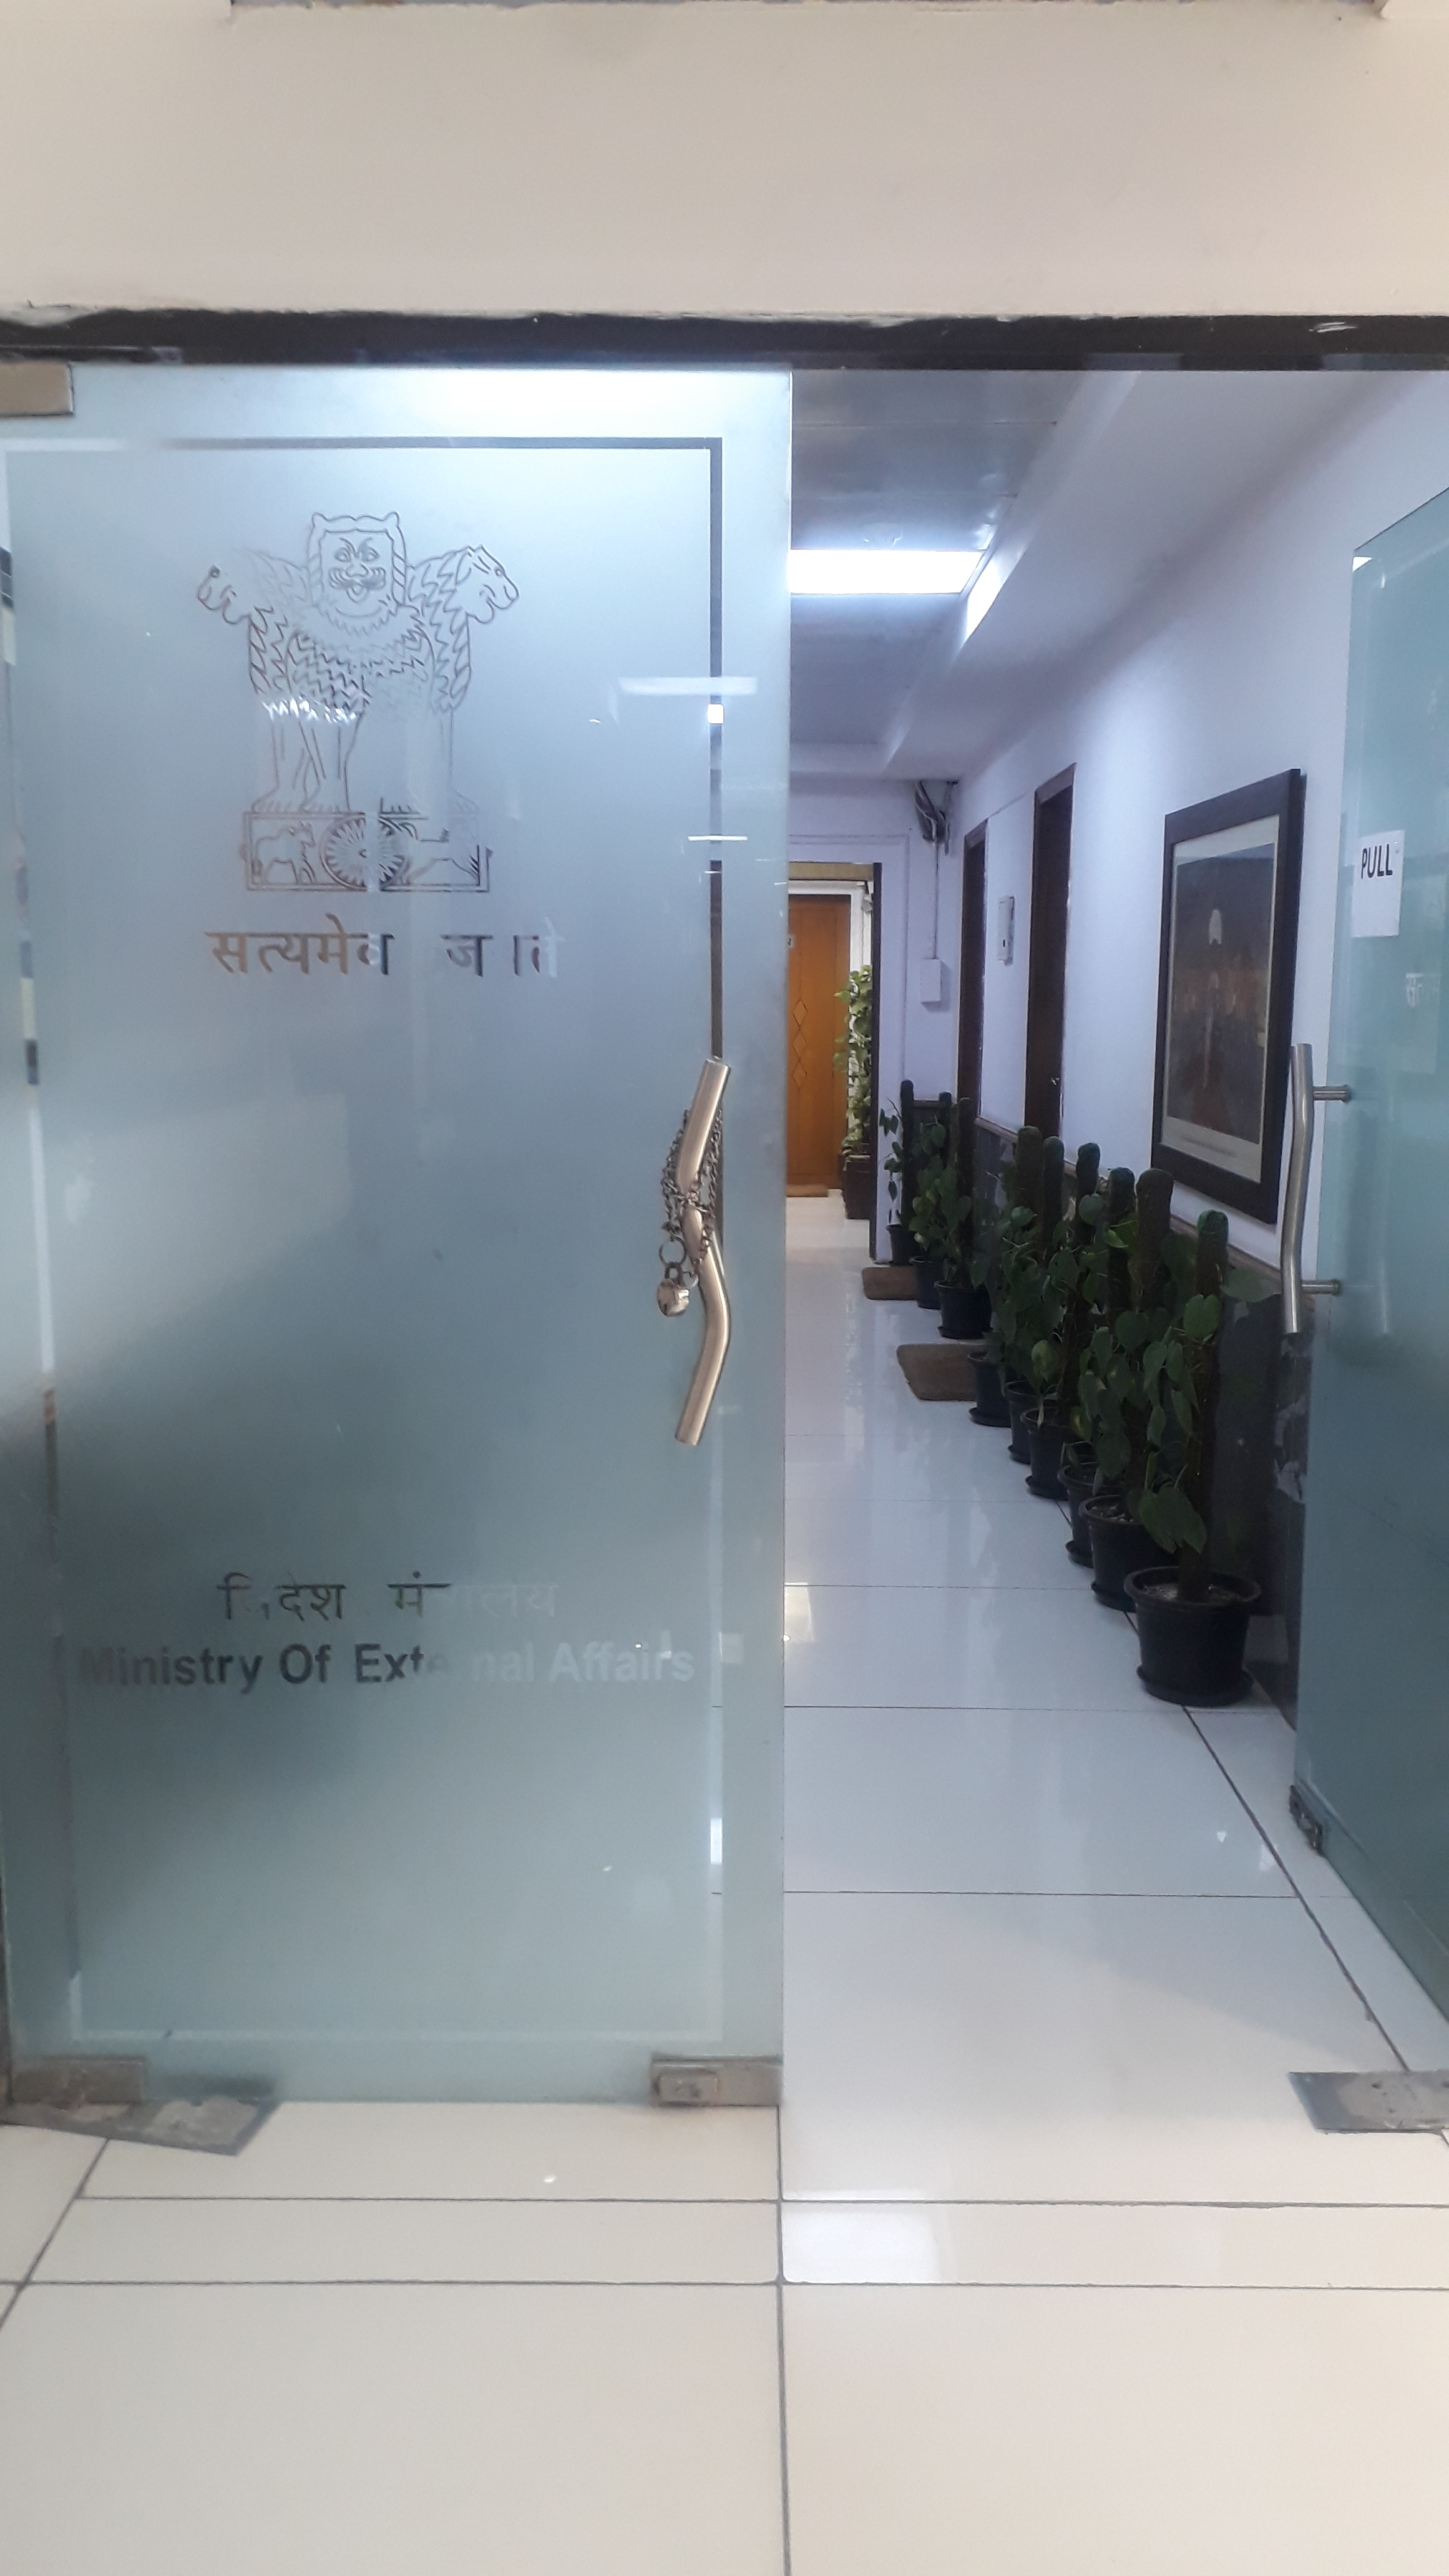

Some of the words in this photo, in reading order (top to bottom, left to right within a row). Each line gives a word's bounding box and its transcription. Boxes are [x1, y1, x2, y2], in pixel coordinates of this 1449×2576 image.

[1359, 842, 1398, 882] PULL
[205, 907, 401, 982] सत्‍यमेव
[441, 914, 569, 982] जाते
[215, 1564, 351, 1626] देश
[384, 1560, 452, 1617] मं
[74, 1637, 267, 1697] Ministry
[277, 1637, 337, 1687] Of
[353, 1641, 431, 1687] Ext